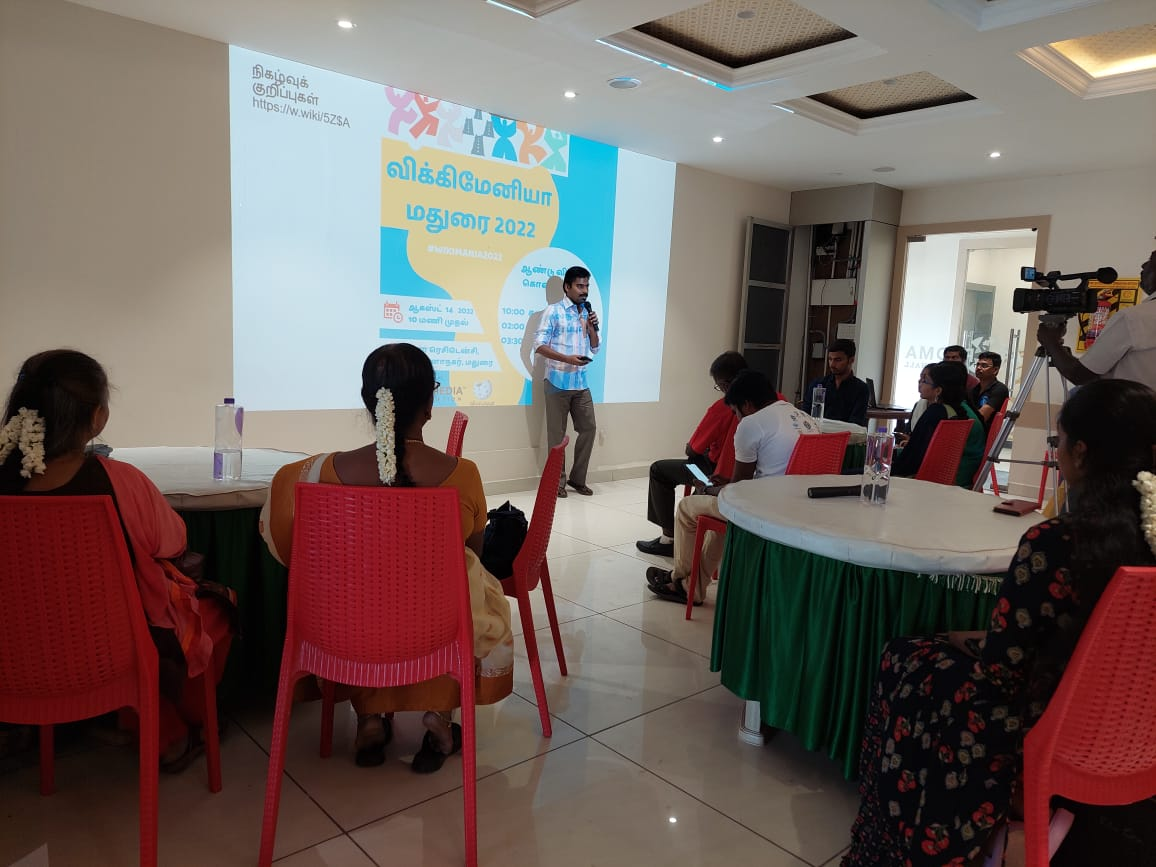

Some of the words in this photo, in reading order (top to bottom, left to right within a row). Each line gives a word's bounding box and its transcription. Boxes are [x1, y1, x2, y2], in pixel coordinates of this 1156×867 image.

[247, 57, 315, 95] நிகழ்வுக்
[248, 75, 324, 111] குறிப்புகள்
[249, 93, 353, 135] https://w.wiki/5Z$A
[381, 149, 557, 211] விக்கிமேனியா
[399, 197, 496, 239] மதுரை
[490, 210, 541, 242] 2022
[513, 259, 559, 281] ஆண்டு
[405, 298, 448, 318] ஆகஸ்ட்
[453, 303, 479, 320] 2022